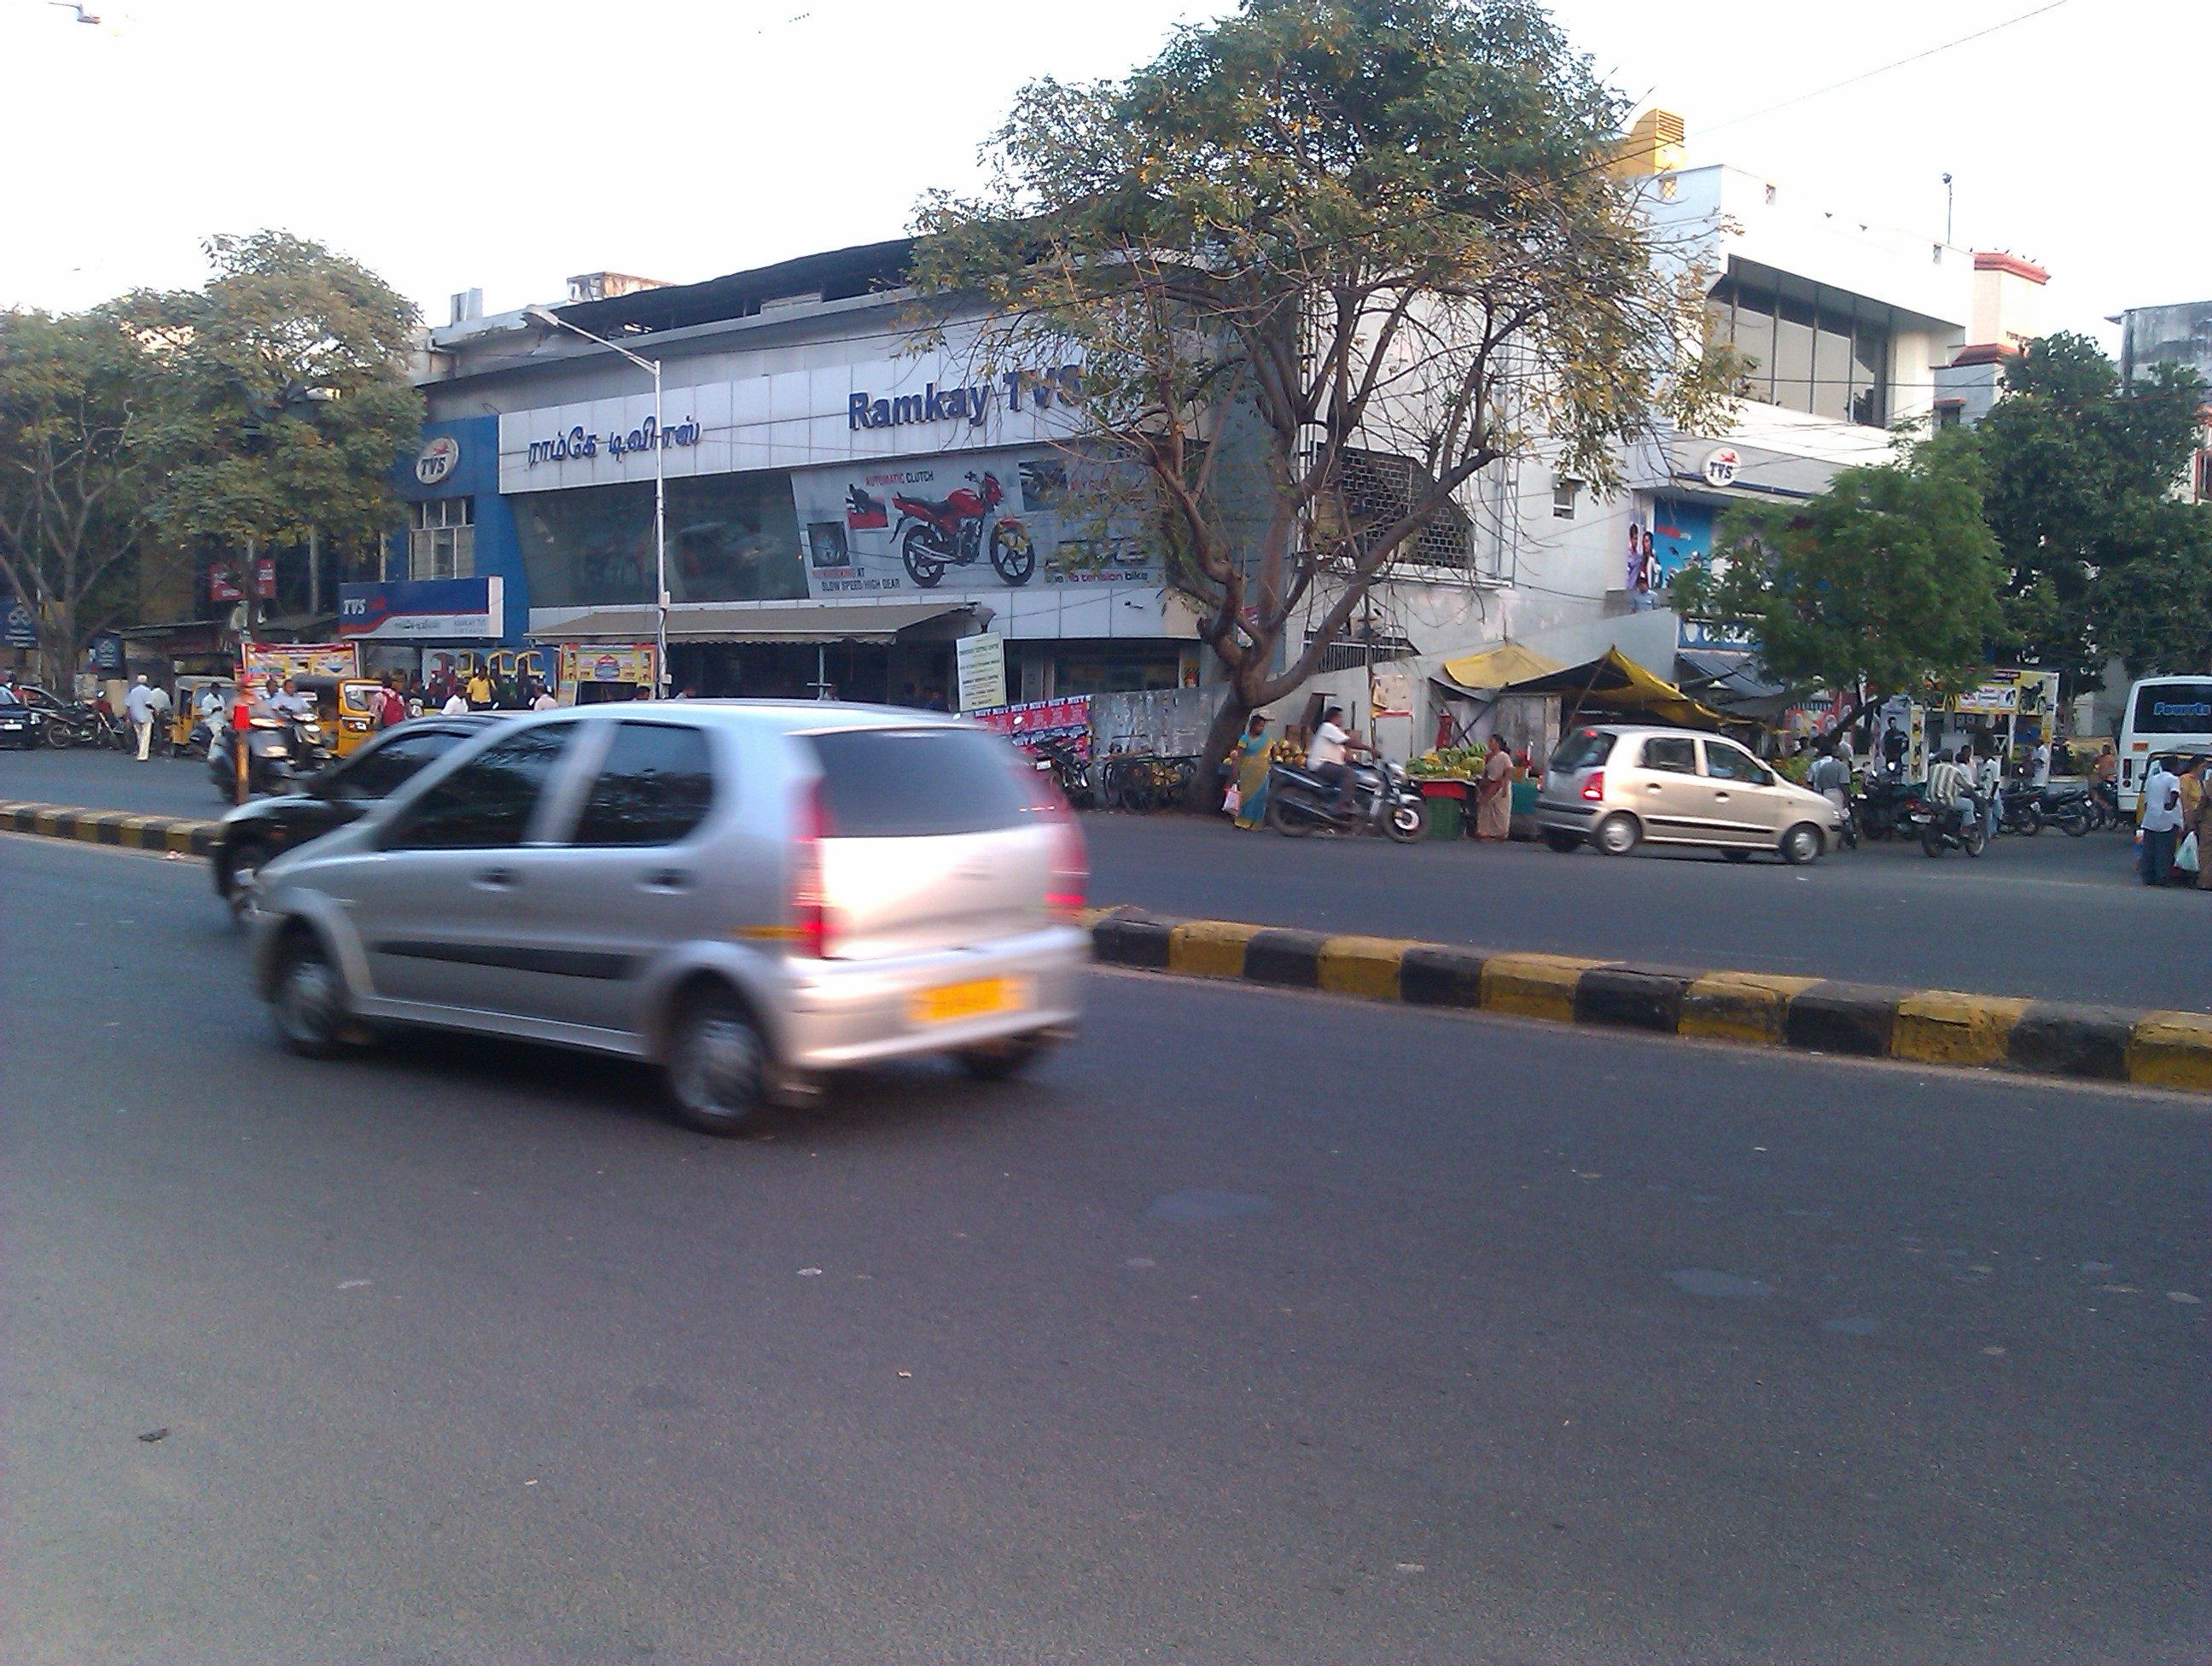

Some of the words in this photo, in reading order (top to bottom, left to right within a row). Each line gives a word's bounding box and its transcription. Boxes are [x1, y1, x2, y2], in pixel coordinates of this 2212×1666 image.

[847, 379, 992, 436] Ramkay
[1001, 362, 1085, 414] TVS
[523, 422, 605, 471] ராம்கே
[604, 411, 707, 462] டி.விாஸ்
[1707, 456, 1738, 484] TVS